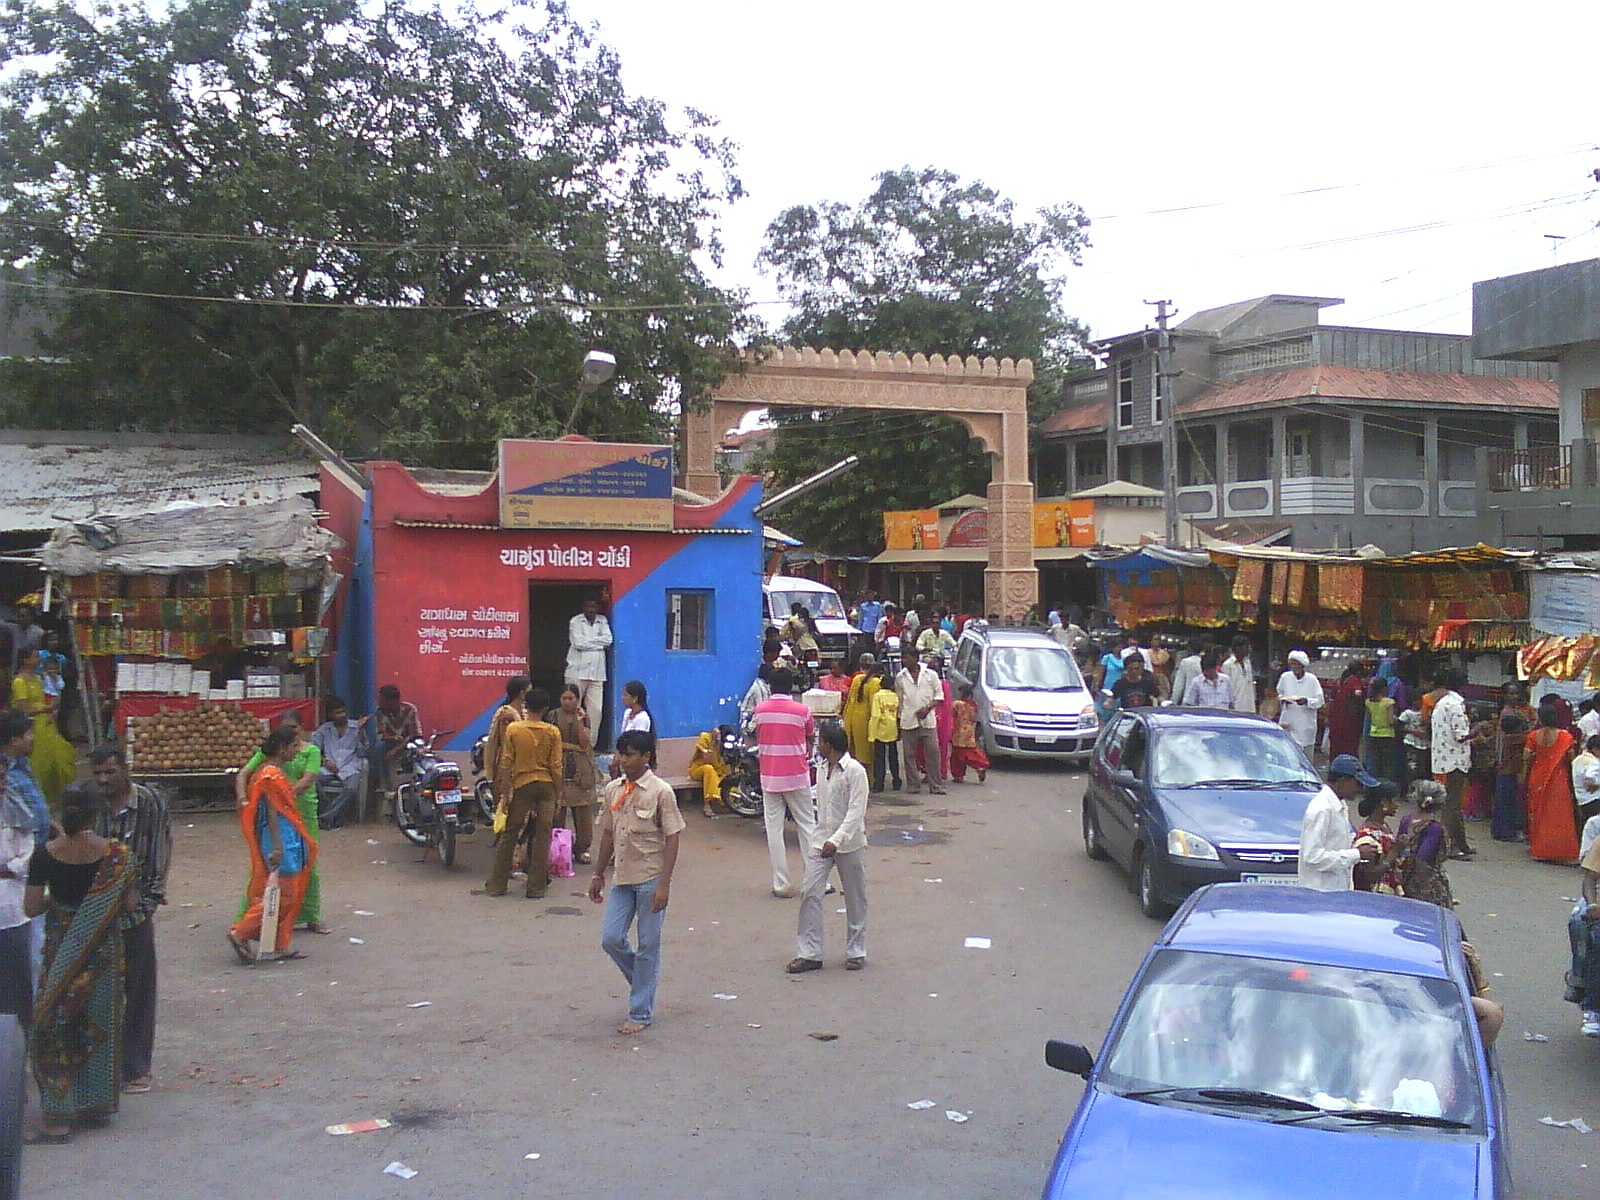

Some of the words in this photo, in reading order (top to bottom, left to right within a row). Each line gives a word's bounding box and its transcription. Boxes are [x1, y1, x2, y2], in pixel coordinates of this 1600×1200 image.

[495, 545, 542, 567] ચામુંડા
[545, 545, 590, 567] પોલીસ
[597, 545, 629, 567] ચૉકી
[418, 605, 463, 623] યાત્રાધામ
[471, 605, 519, 624] ઓટીલાઆ
[448, 626, 510, 639] સ્વાગત કરીએ